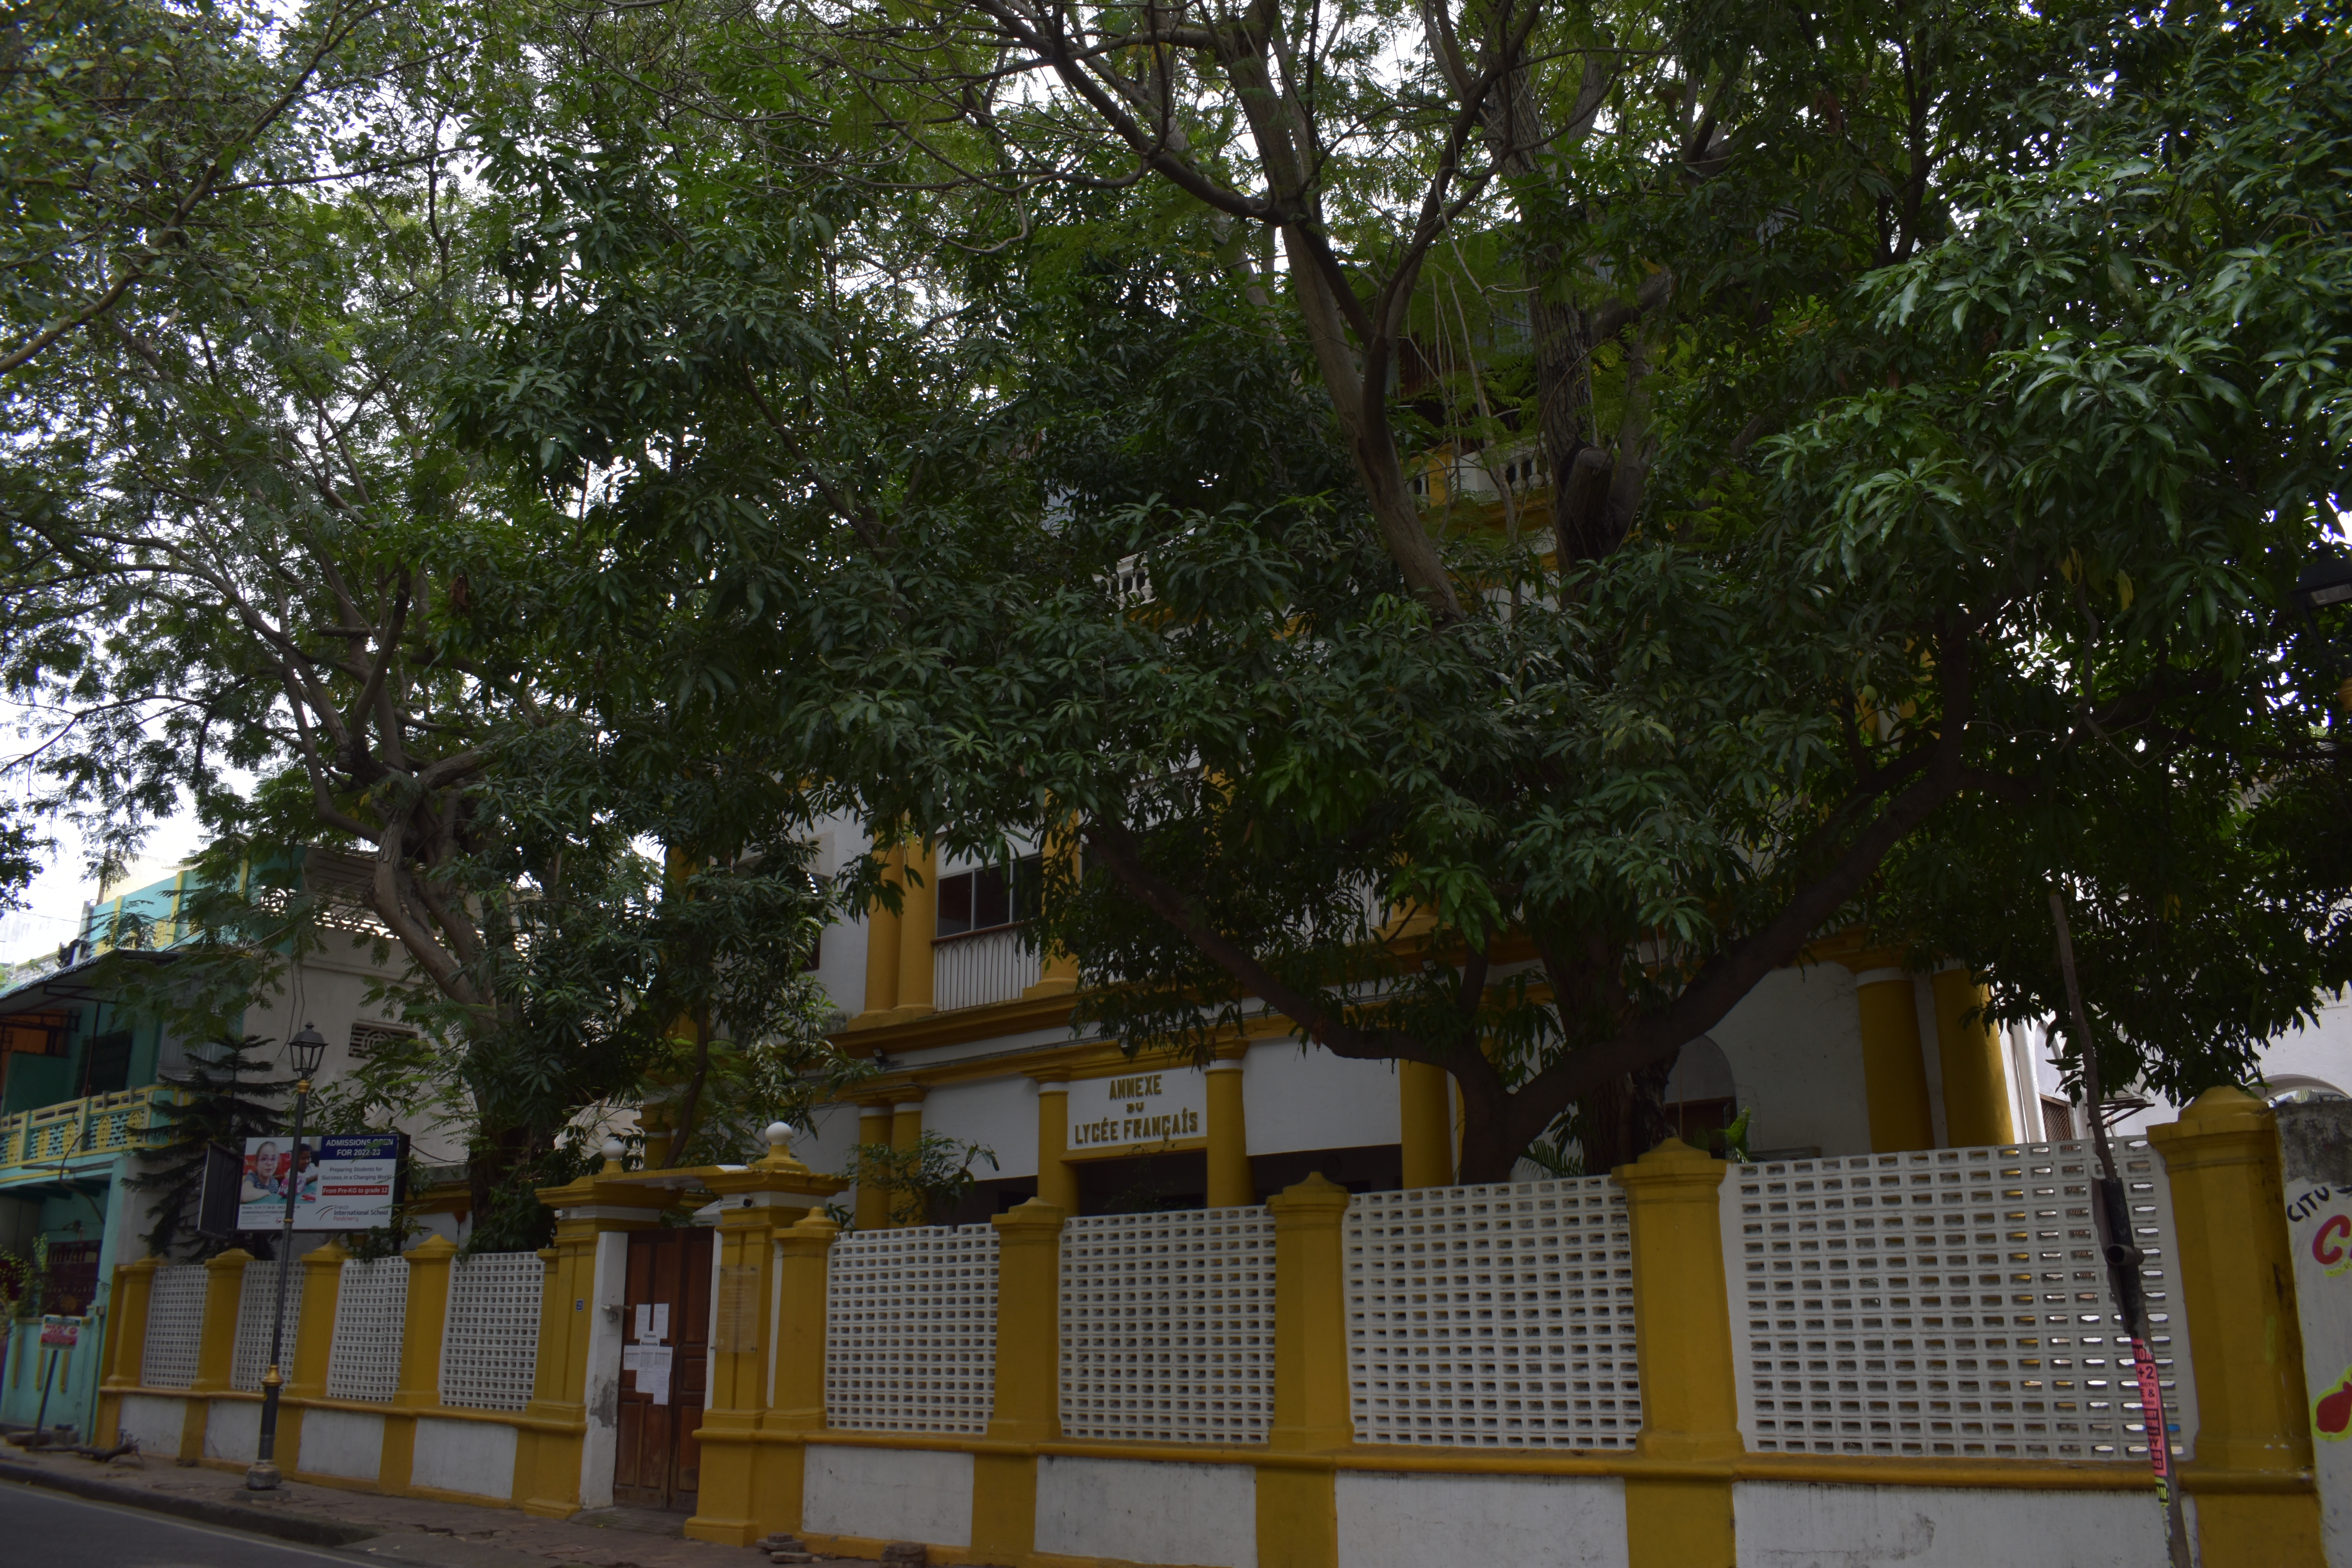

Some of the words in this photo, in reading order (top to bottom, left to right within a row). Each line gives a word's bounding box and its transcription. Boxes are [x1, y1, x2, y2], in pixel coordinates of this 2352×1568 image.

[1108, 1072, 1163, 1102] ANNEXE
[1122, 1105, 1200, 1144] FRANÇAIS
[1073, 1114, 1121, 1146] LYCEE
[323, 1136, 372, 1147] ADMISSIONS
[335, 1148, 354, 1158] FOR
[352, 1147, 382, 1158] 2022-23
[328, 1165, 353, 1174] Preparing
[352, 1165, 376, 1174] Students
[373, 1163, 384, 1172] for
[320, 1173, 343, 1182] Success,
[341, 1171, 350, 1181] in
[345, 1174, 354, 1181] a
[352, 1172, 378, 1181] Changing
[376, 1172, 393, 1183] World
[321, 1187, 339, 1195] From
[336, 1186, 359, 1197] Pre-KG
[356, 1186, 366, 1196] to
[362, 1185, 390, 1196] grade12
[333, 1201, 350, 1211] French
[332, 1208, 371, 1218] International
[370, 1207, 390, 1217] School
[331, 1214, 361, 1223] Pondicherry